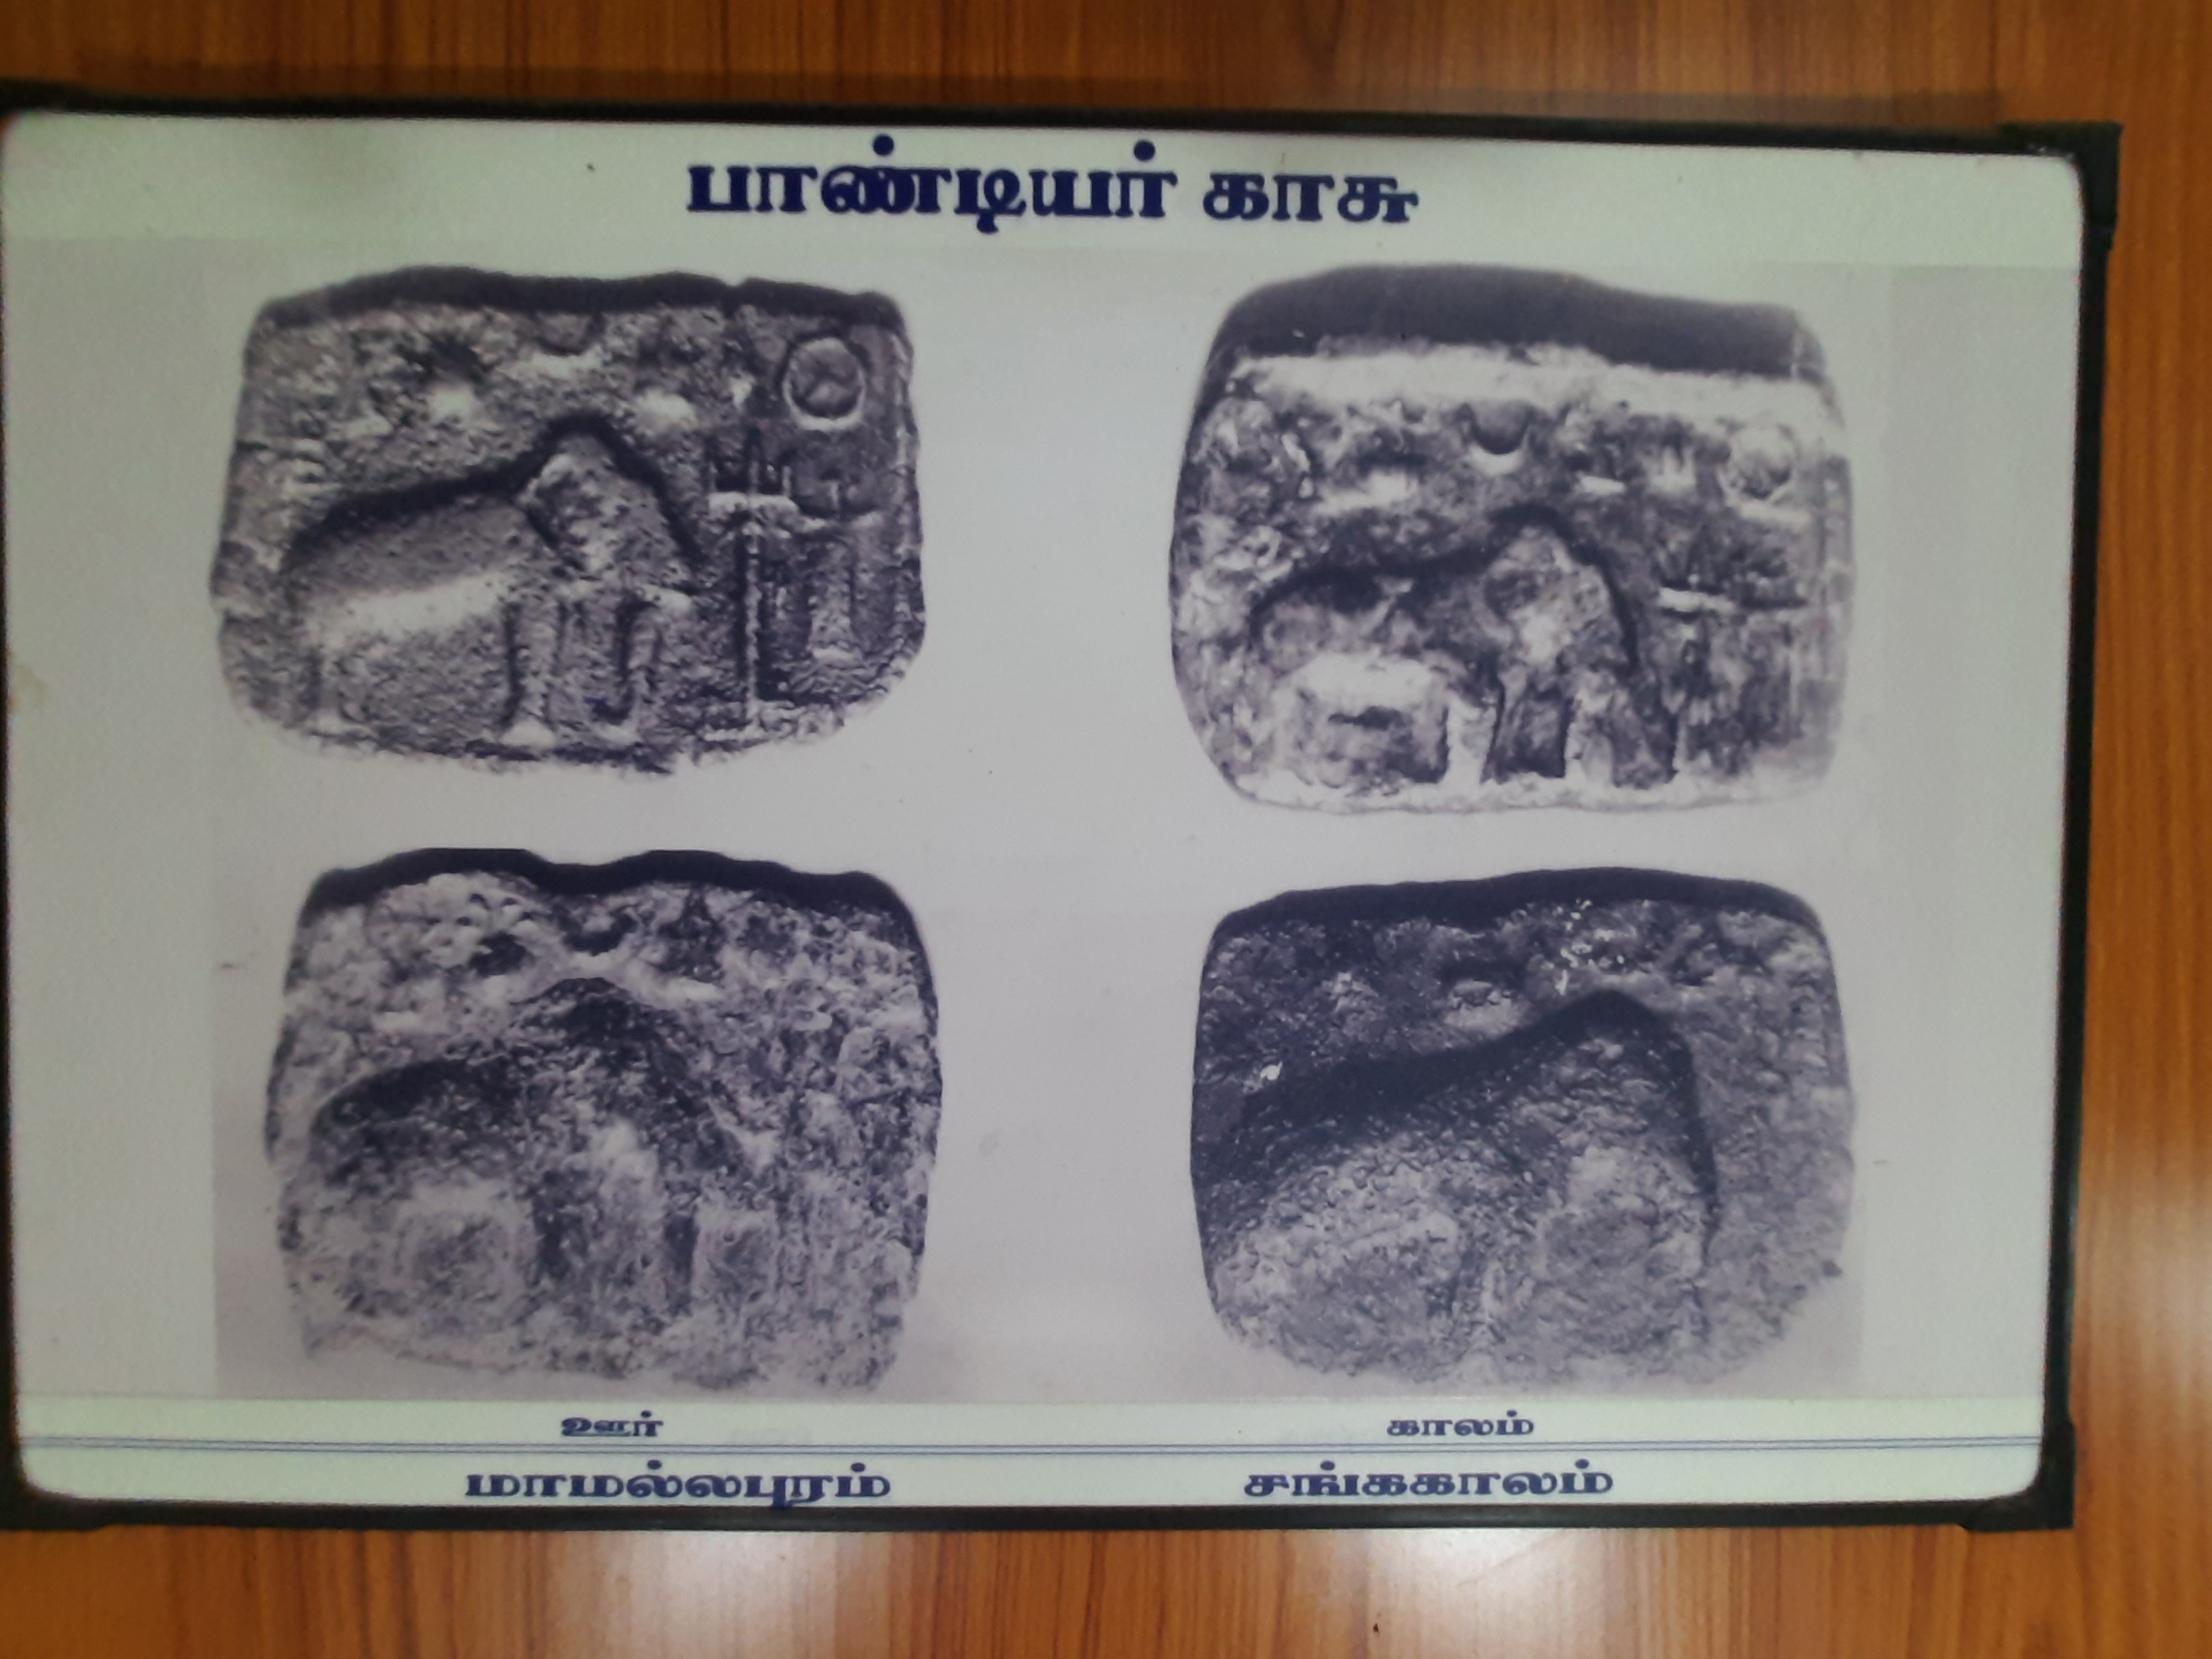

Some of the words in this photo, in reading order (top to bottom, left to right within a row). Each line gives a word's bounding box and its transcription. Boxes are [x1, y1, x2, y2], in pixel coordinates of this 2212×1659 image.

[686, 127, 1181, 236] பாண்டியா்
[1197, 167, 1423, 224] காசு
[558, 1411, 662, 1443] ஊா்
[1380, 1405, 1536, 1440] காலம்
[462, 1452, 897, 1515] மாமல்லபுரம்
[1239, 1454, 1618, 1500] சங்ககாலம்